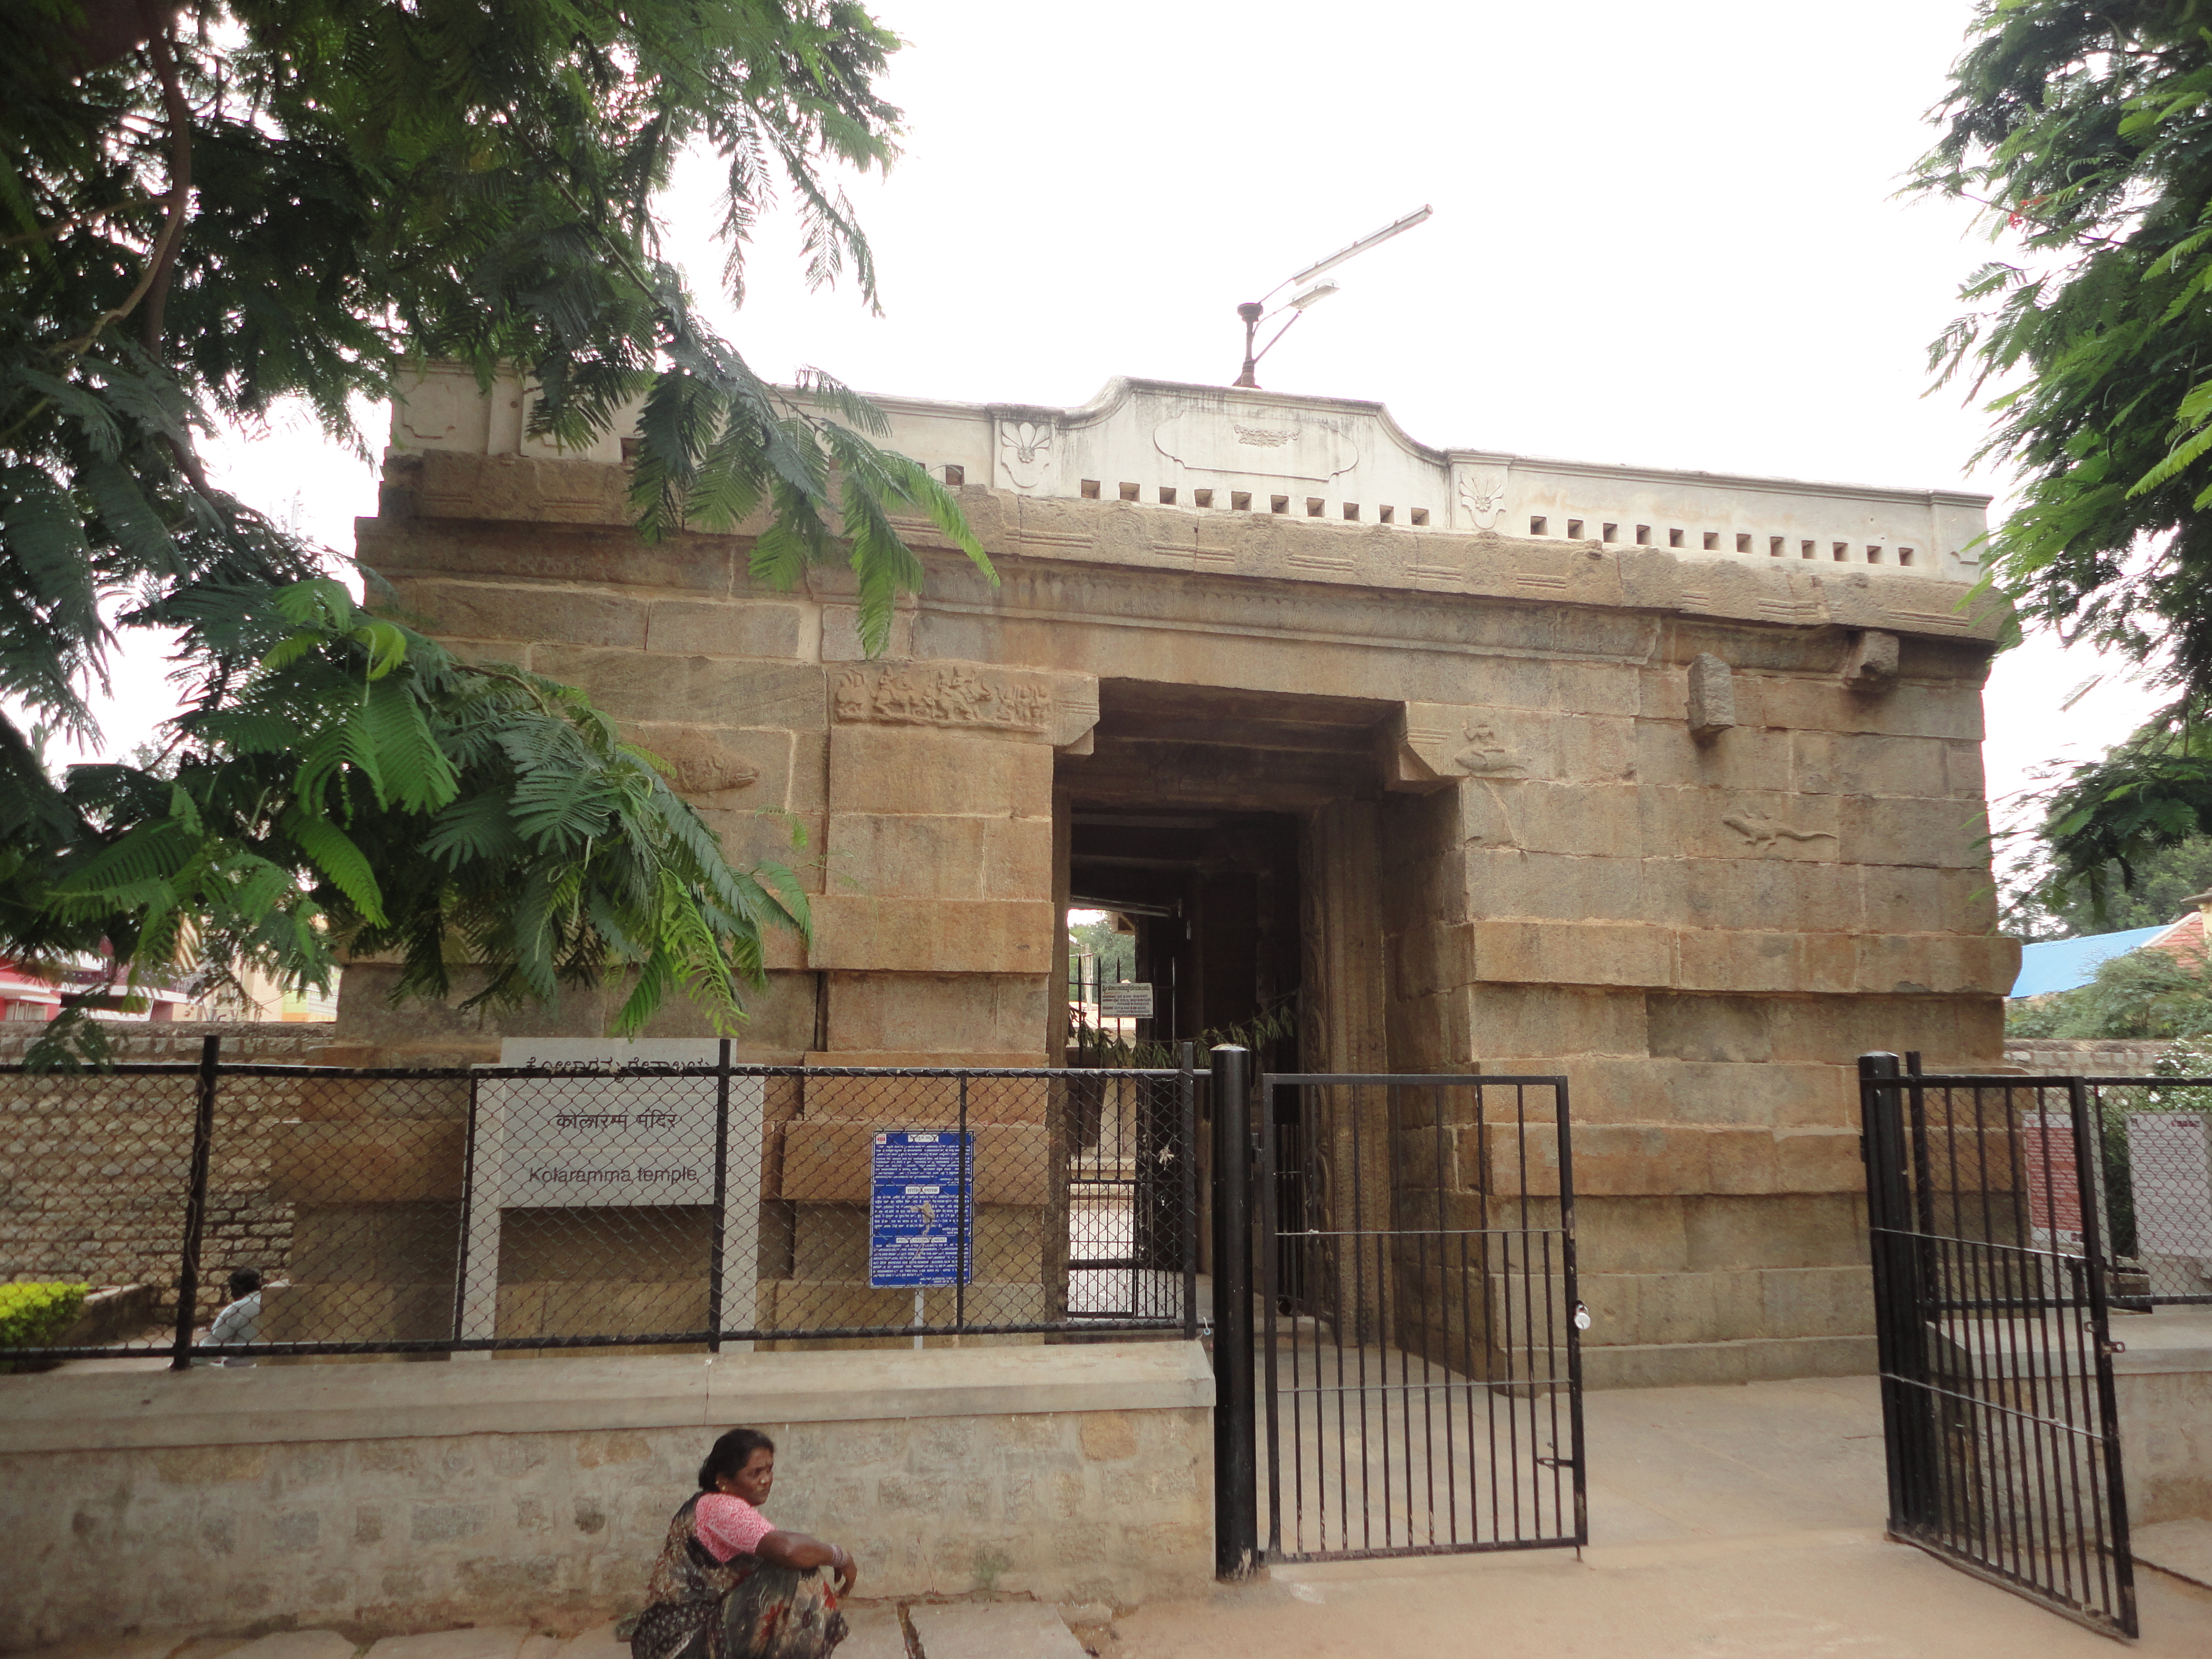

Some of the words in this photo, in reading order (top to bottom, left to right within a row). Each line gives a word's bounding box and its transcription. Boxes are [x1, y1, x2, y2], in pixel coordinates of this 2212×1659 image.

[553, 1104, 629, 1133] कोलारम्म
[631, 1104, 680, 1131] मंदिर
[527, 1163, 634, 1184] Kolaramma,
[637, 1163, 698, 1186] temple